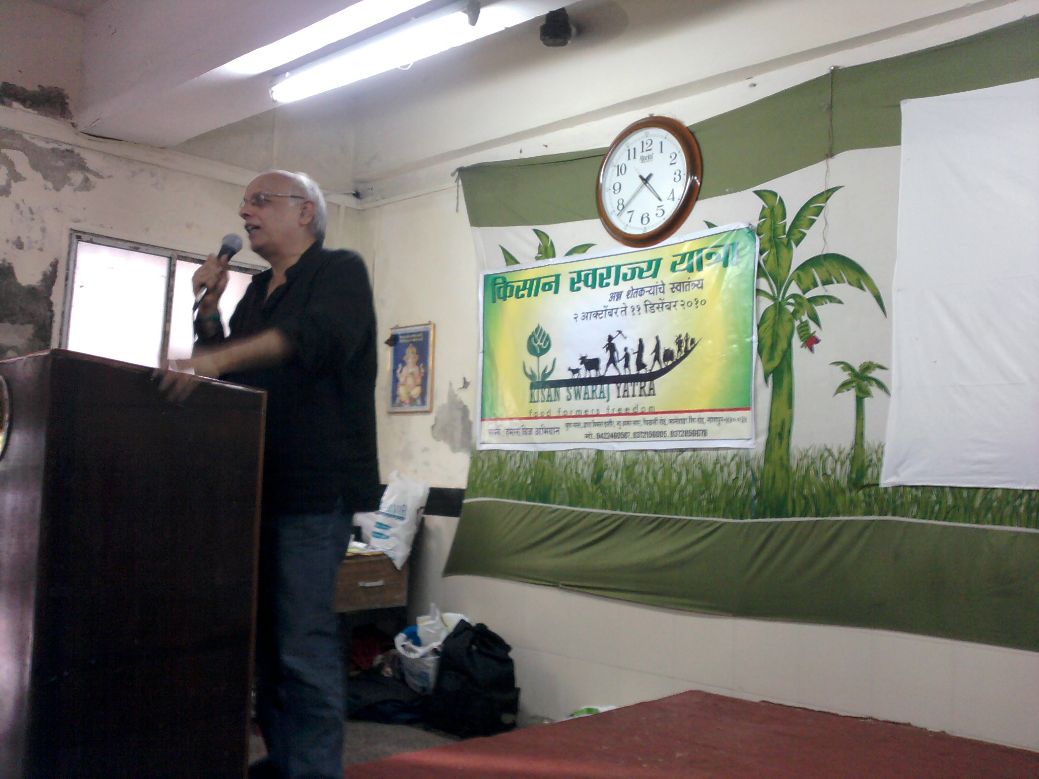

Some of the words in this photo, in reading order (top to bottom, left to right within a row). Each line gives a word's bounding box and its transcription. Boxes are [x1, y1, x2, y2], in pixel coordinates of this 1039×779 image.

[666, 241, 738, 276] यात्रा
[483, 267, 564, 308] किसान
[572, 300, 633, 324] आक्टोंबर ते
[567, 253, 663, 295] स्वराज्य
[605, 280, 631, 303] अन्न
[621, 294, 646, 318] ११
[622, 275, 669, 303] शेतकऱ्यांचे
[637, 293, 682, 319] डिसेंबर
[664, 272, 710, 299] स्वातंत्र्य
[677, 291, 713, 311] २०१०
[525, 379, 567, 409] KISAN
[561, 377, 615, 409] SWARAJ
[610, 374, 665, 401] YATRA
[527, 419, 566, 439] अभियान